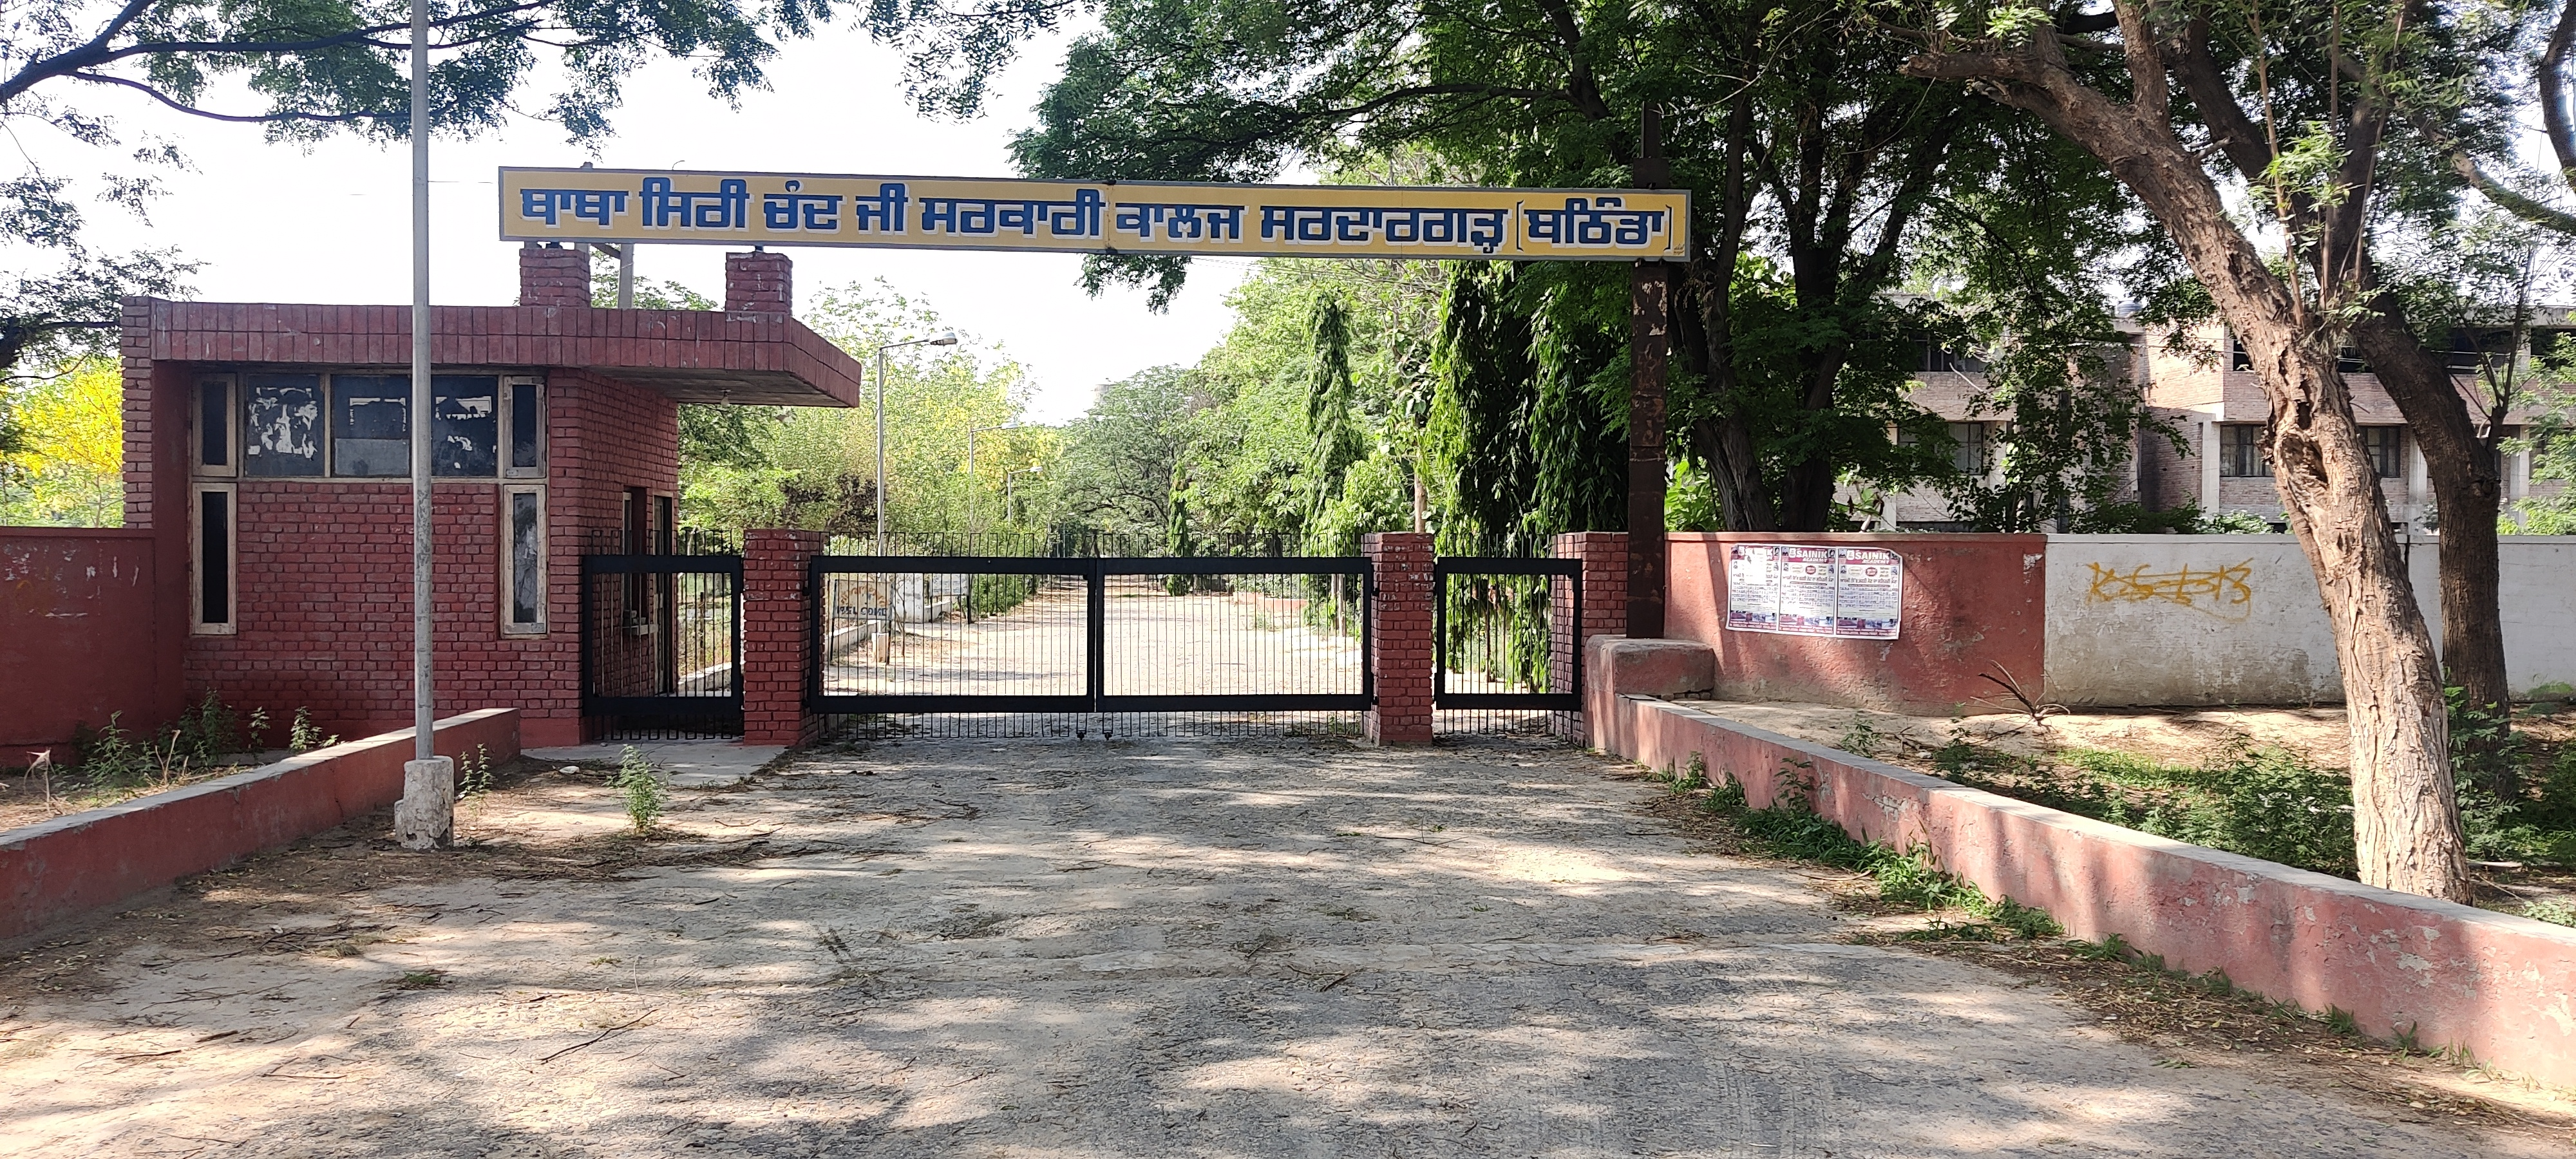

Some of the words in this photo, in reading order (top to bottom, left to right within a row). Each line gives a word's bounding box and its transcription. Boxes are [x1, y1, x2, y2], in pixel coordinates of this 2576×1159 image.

[513, 176, 635, 240] ਬਾਬਾ
[627, 170, 757, 237] ਸਿਰੀ
[755, 175, 851, 240] ਚੰਦ
[850, 179, 917, 242] ਜੀ
[914, 183, 1112, 250] ਸਰਕਾਰੀ
[1112, 194, 1255, 249] ਕਾਲਜ
[1253, 192, 1519, 258] ਸਰਦਾਰਗੜ੍ਹ
[1519, 191, 1673, 256] ਬਠਿੰਡਾ
[1796, 548, 1829, 559] SAINIK
[1855, 551, 1890, 561] 541918